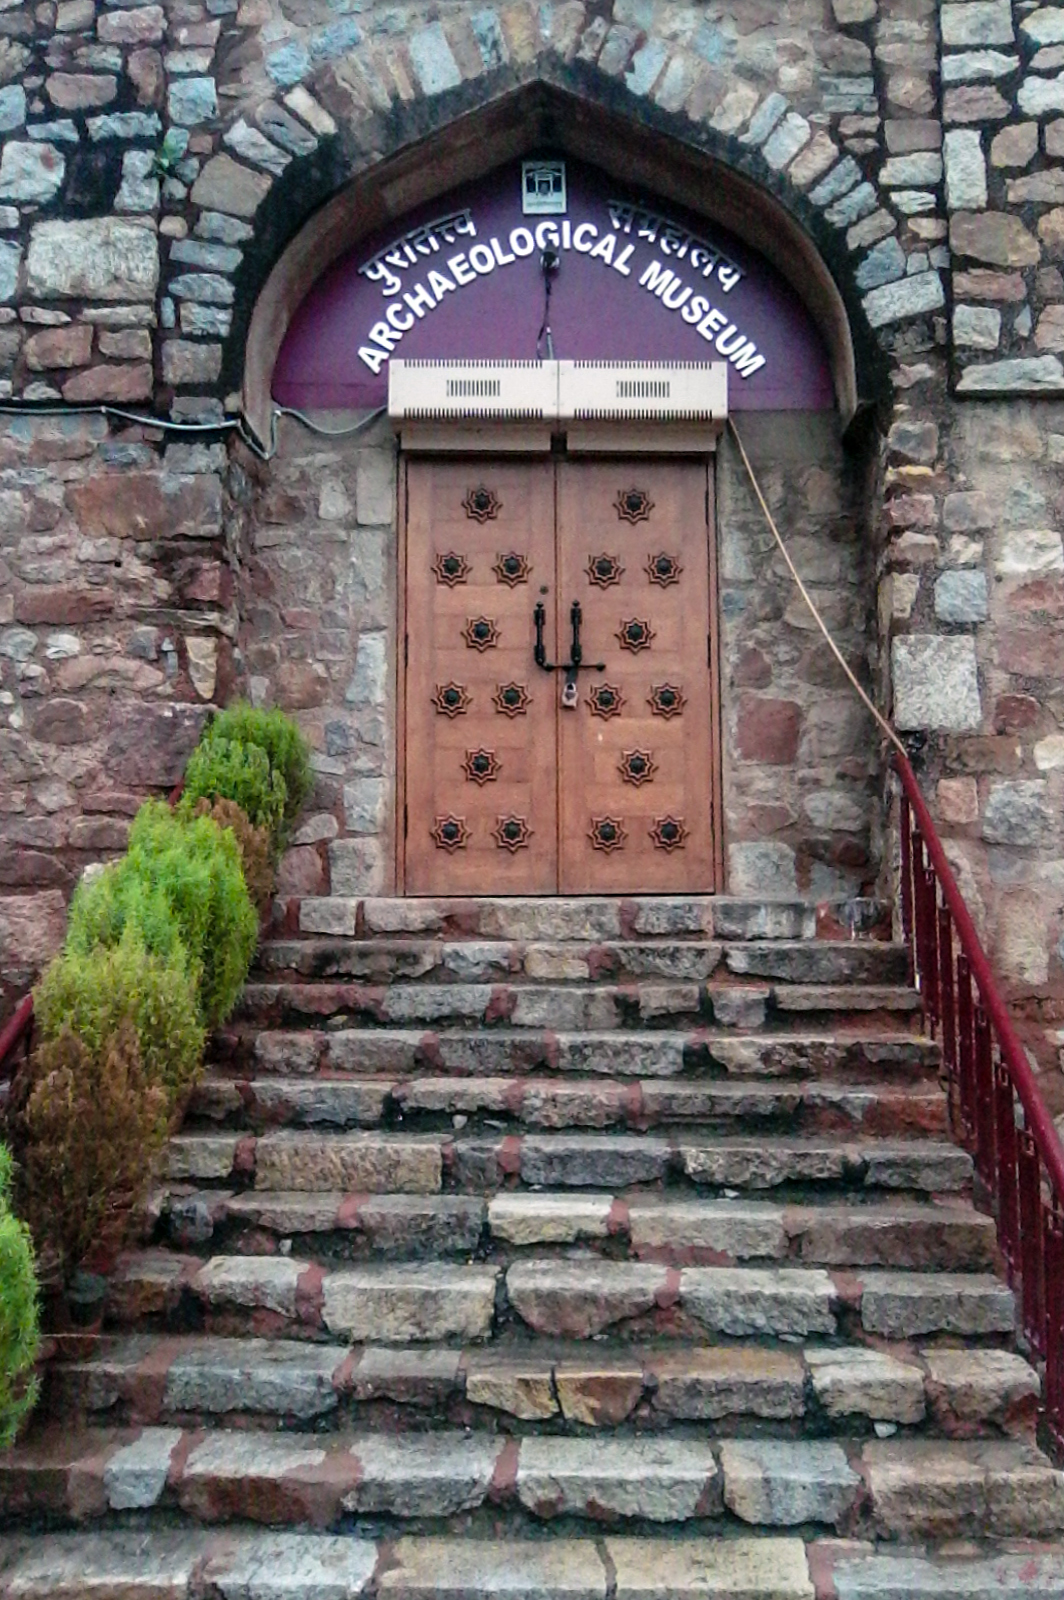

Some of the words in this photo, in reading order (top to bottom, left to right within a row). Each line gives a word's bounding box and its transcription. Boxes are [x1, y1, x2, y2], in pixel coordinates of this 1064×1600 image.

[352, 199, 483, 303] पुरातत्व
[352, 214, 637, 378] ARCHAEOLOGICAL
[602, 195, 755, 299] सग्रहालय
[631, 255, 770, 383] MUSEUM